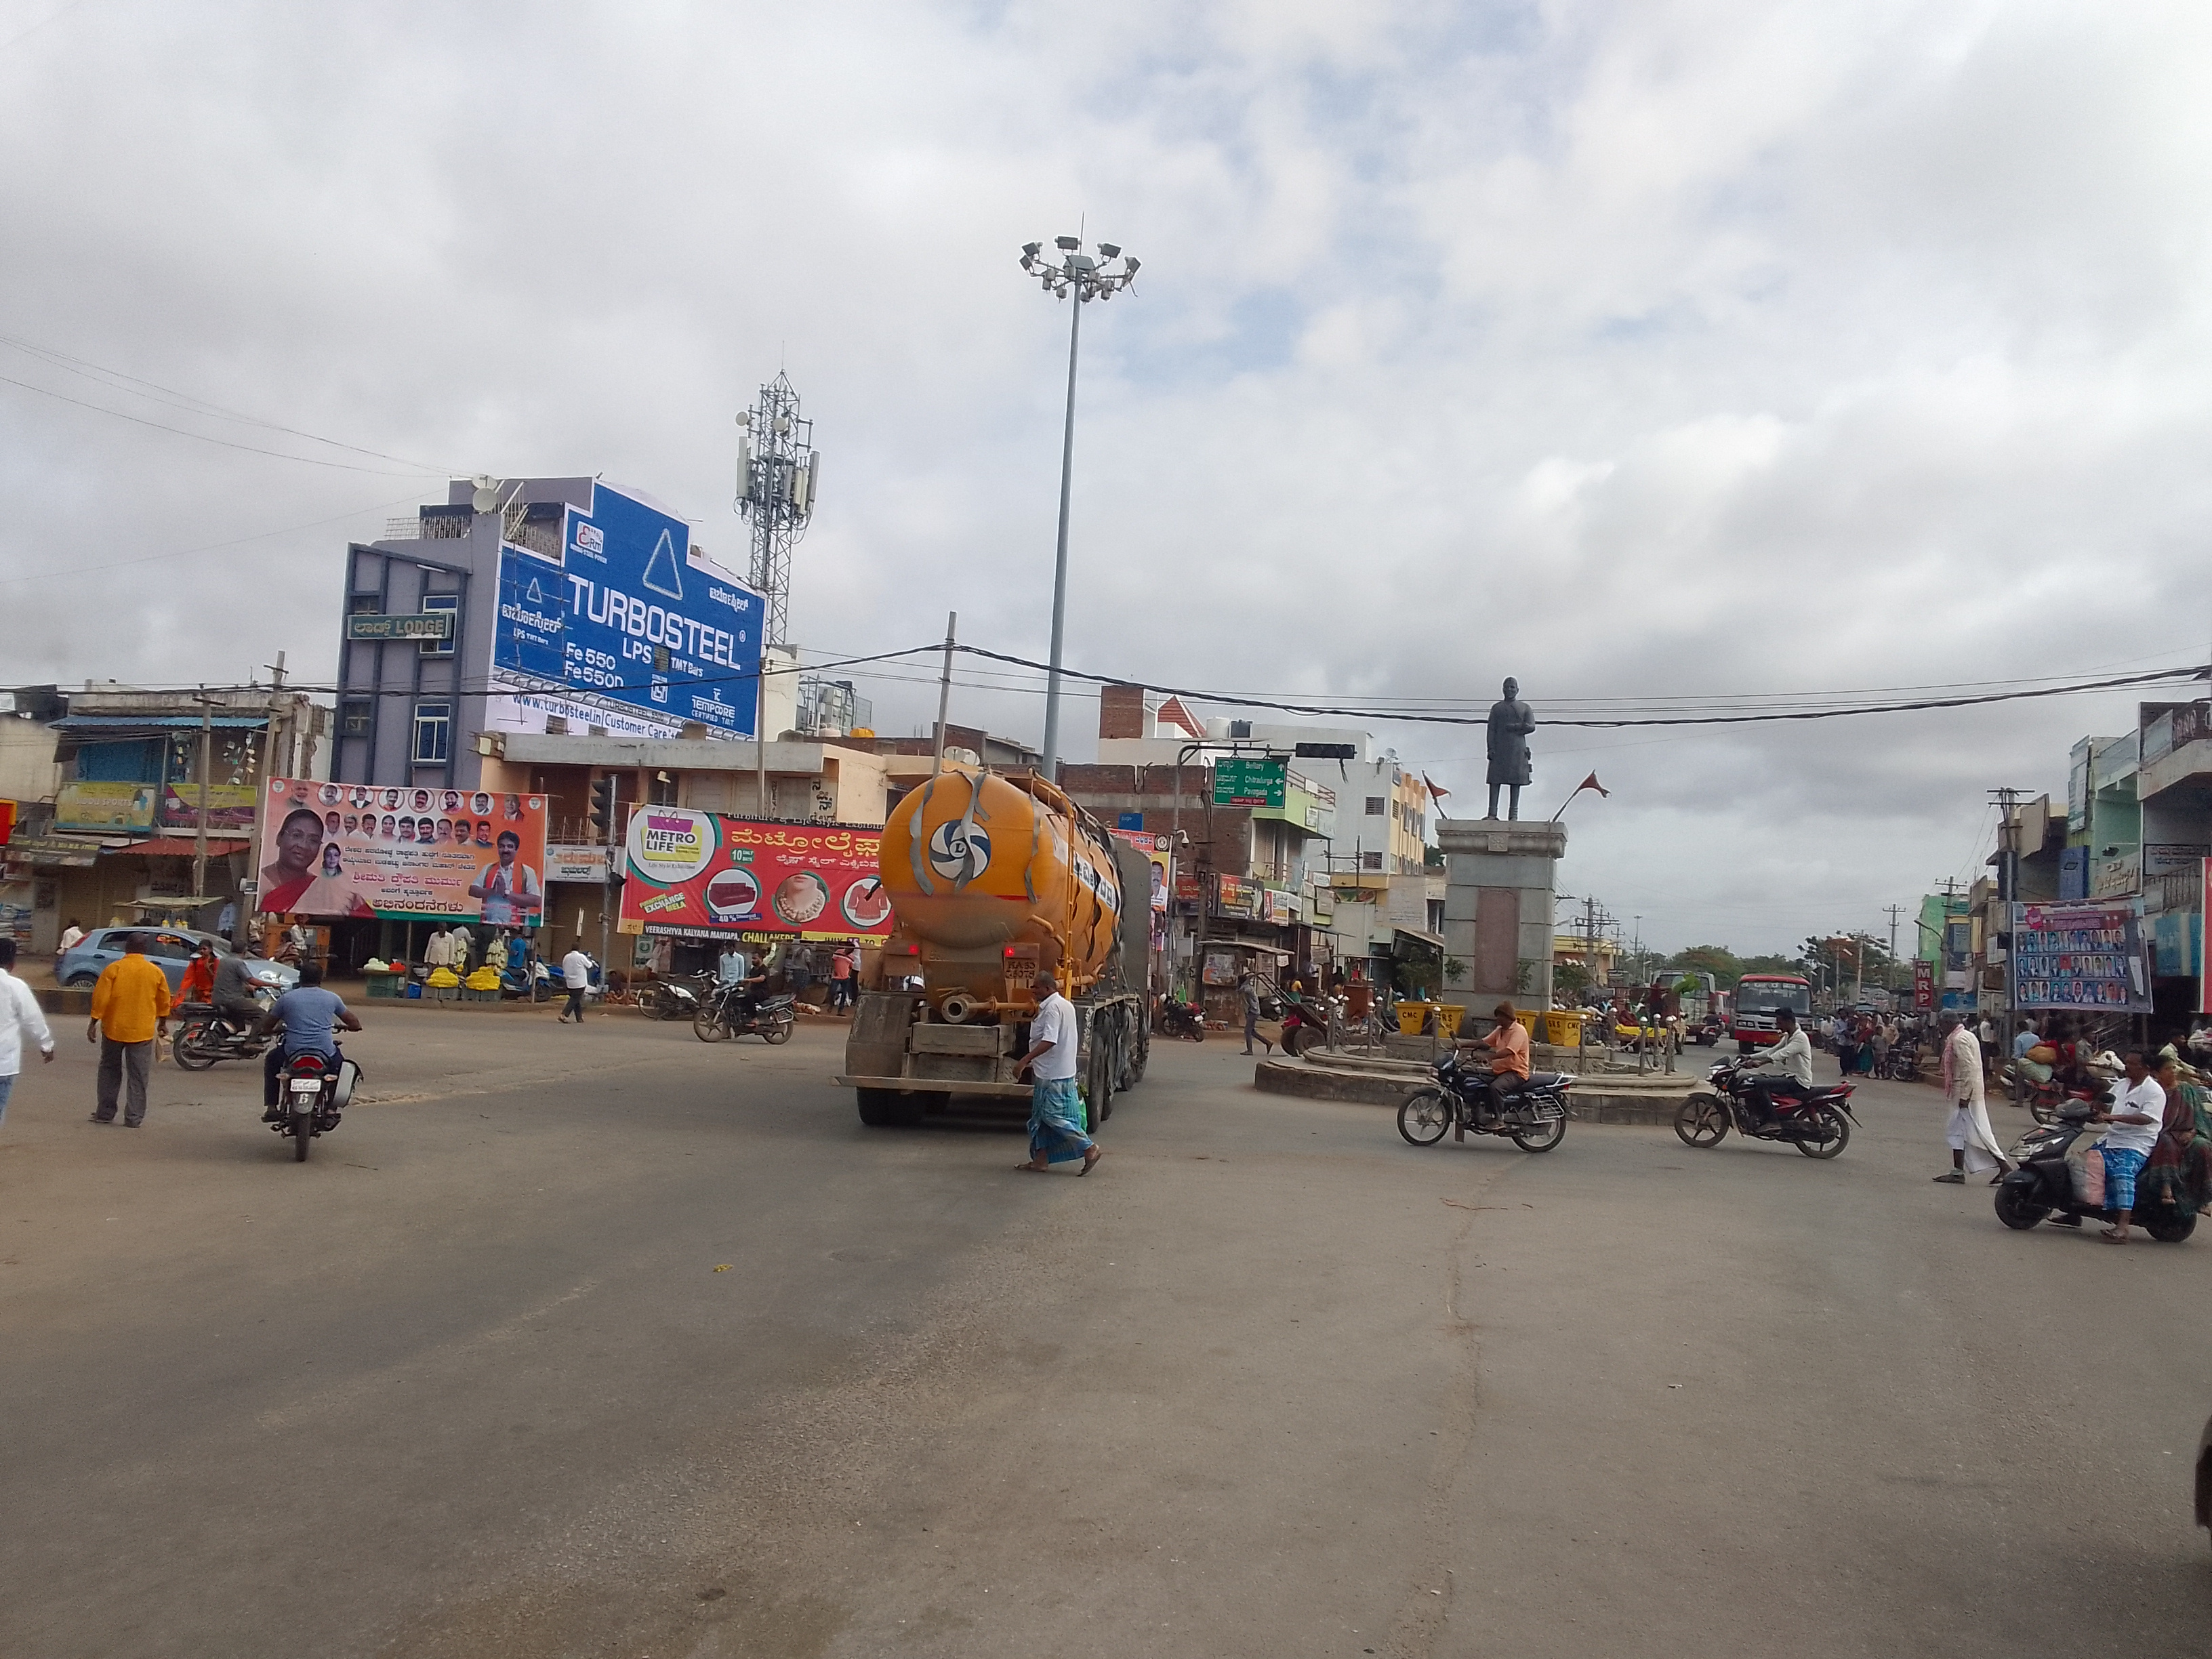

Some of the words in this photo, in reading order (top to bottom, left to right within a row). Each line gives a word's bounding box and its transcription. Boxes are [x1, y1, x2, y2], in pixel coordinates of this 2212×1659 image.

[705, 581, 753, 615] ಟರ್ಬೋಸ್ಟೀಲ್
[497, 600, 566, 638] ತುರ್ಬೋಸ್ಟೀಲ್
[567, 569, 743, 674] TURBOSTEEL
[509, 624, 529, 644] LPS
[562, 638, 620, 674] Fe550
[619, 636, 661, 670] LPS
[562, 658, 627, 697] FE55ON
[669, 655, 705, 682] TMYBars
[508, 689, 607, 730] www.turbosteel.in
[602, 711, 651, 737] Customer
[644, 718, 672, 742] Care
[687, 707, 722, 724] CERTIFIED
[689, 695, 737, 722] TEMPOORE
[715, 716, 737, 729] TMT
[1241, 755, 1269, 775] Battery
[1240, 784, 1271, 798] Pavagada
[340, 840, 365, 855] ದೇಶದ
[726, 825, 884, 861] ಮಟ್ರೋಲೈಫ
[349, 868, 387, 887] ಶ್ರೀಮತ
[379, 884, 401, 896] scorl
[386, 868, 421, 889] ದ್ರೌಪದಿ
[423, 871, 465, 890] ಮುಮ೯
[556, 861, 595, 877] ಜ್ಯುಯಲದ್
[772, 853, 806, 869] ಲೈಫ್
[806, 852, 837, 872] ಸೈಲ್
[369, 895, 468, 914] ಅಭಿನಂದನೆಗಳು
[640, 922, 685, 941] VEERASHIVA
[679, 924, 711, 941] KALYANA
[705, 928, 741, 944] MANTAPA,
[740, 925, 771, 947] CHALL